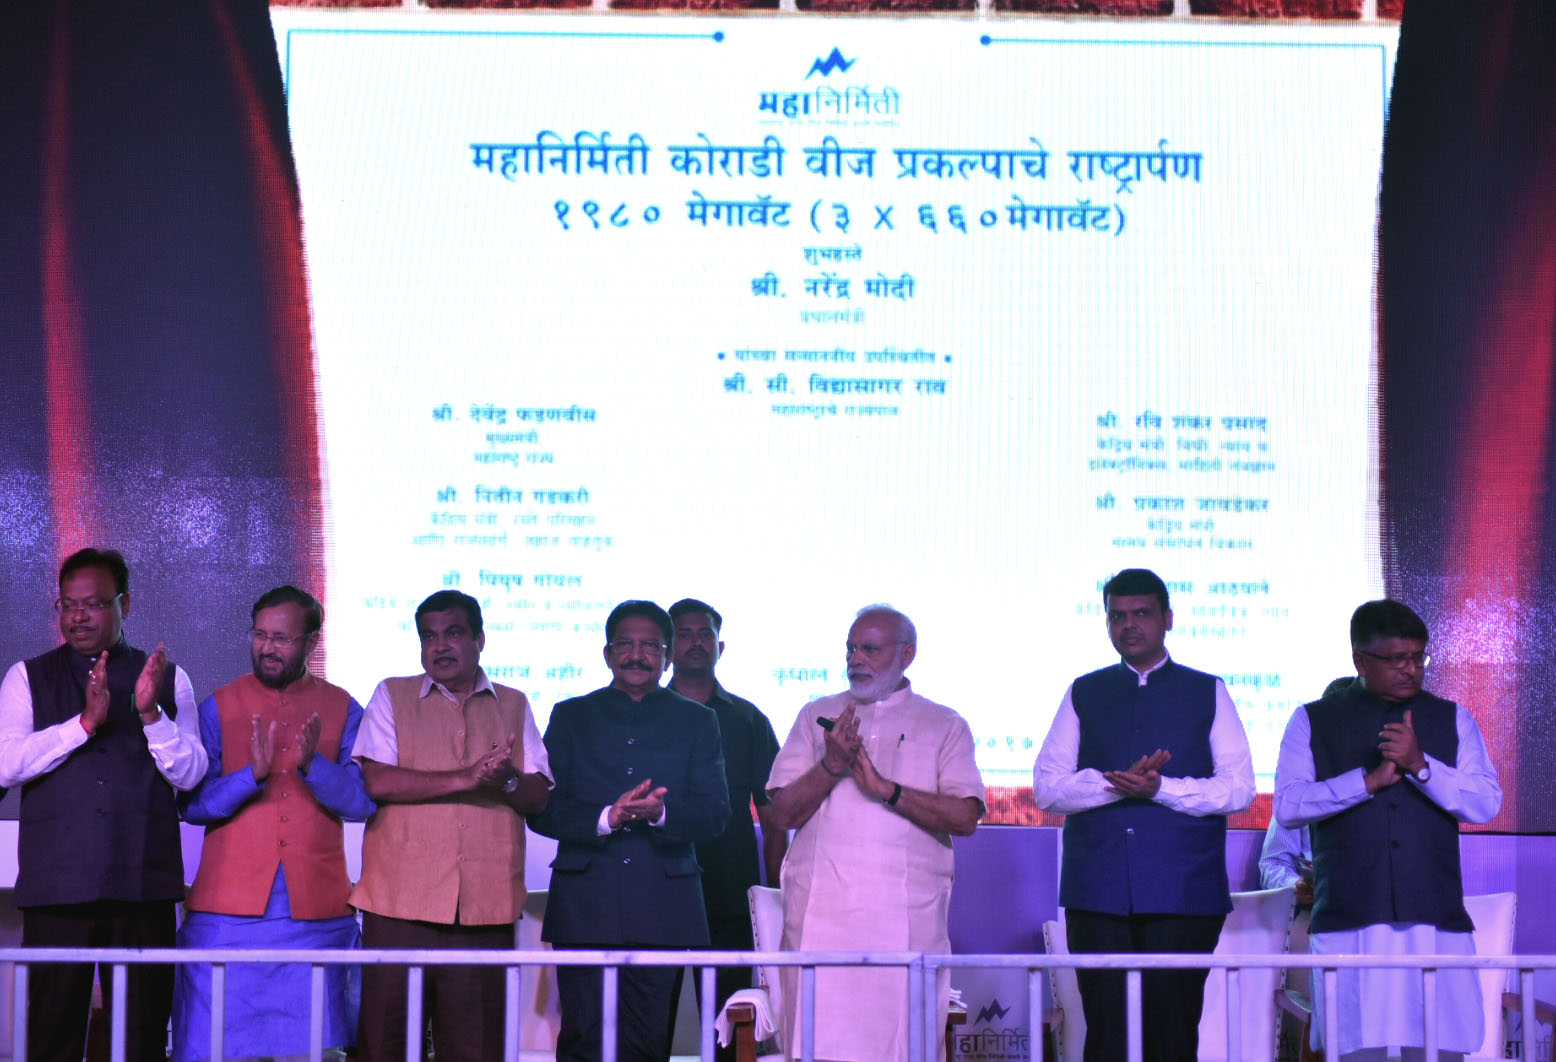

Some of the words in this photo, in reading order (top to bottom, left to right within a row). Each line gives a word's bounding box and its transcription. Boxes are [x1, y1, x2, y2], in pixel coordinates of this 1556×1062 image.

[751, 85, 813, 121] महा
[813, 78, 905, 117] निर्मिती
[459, 123, 660, 186] महानिर्मिती
[659, 123, 792, 184] कोराडी
[801, 133, 878, 185] वीज
[888, 132, 1058, 188] प्रकल्पाचे
[1061, 135, 1211, 199] राष्ट्रार्पण
[548, 196, 664, 235] १९८०
[677, 183, 797, 233] मेगावॅट
[802, 188, 1140, 249] (३ × ६६० मेगावॅट)
[743, 266, 795, 304] श्री.
[795, 267, 859, 304] नरेंद्र
[859, 267, 922, 309] मोदी
[715, 365, 759, 401] श्री.
[762, 367, 802, 399] सी.
[804, 370, 908, 400] विद्यासागर
[909, 373, 952, 401] राव
[422, 397, 464, 427] श्री.
[463, 397, 512, 431] देवेंद्र
[510, 398, 605, 429] फडणवीस